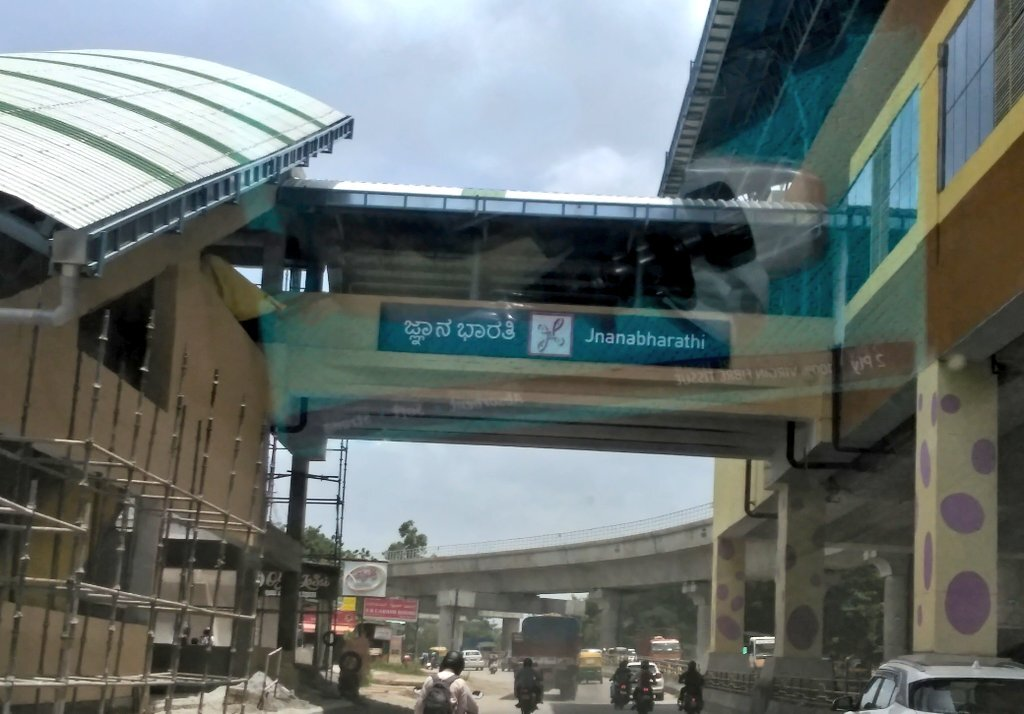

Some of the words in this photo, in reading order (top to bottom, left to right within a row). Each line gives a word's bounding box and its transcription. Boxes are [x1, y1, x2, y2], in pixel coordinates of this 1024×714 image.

[401, 315, 455, 350] ಜ್ಞಾನ
[453, 313, 519, 345] ಭಾರತಿ
[581, 323, 711, 353] Jnanabharathi